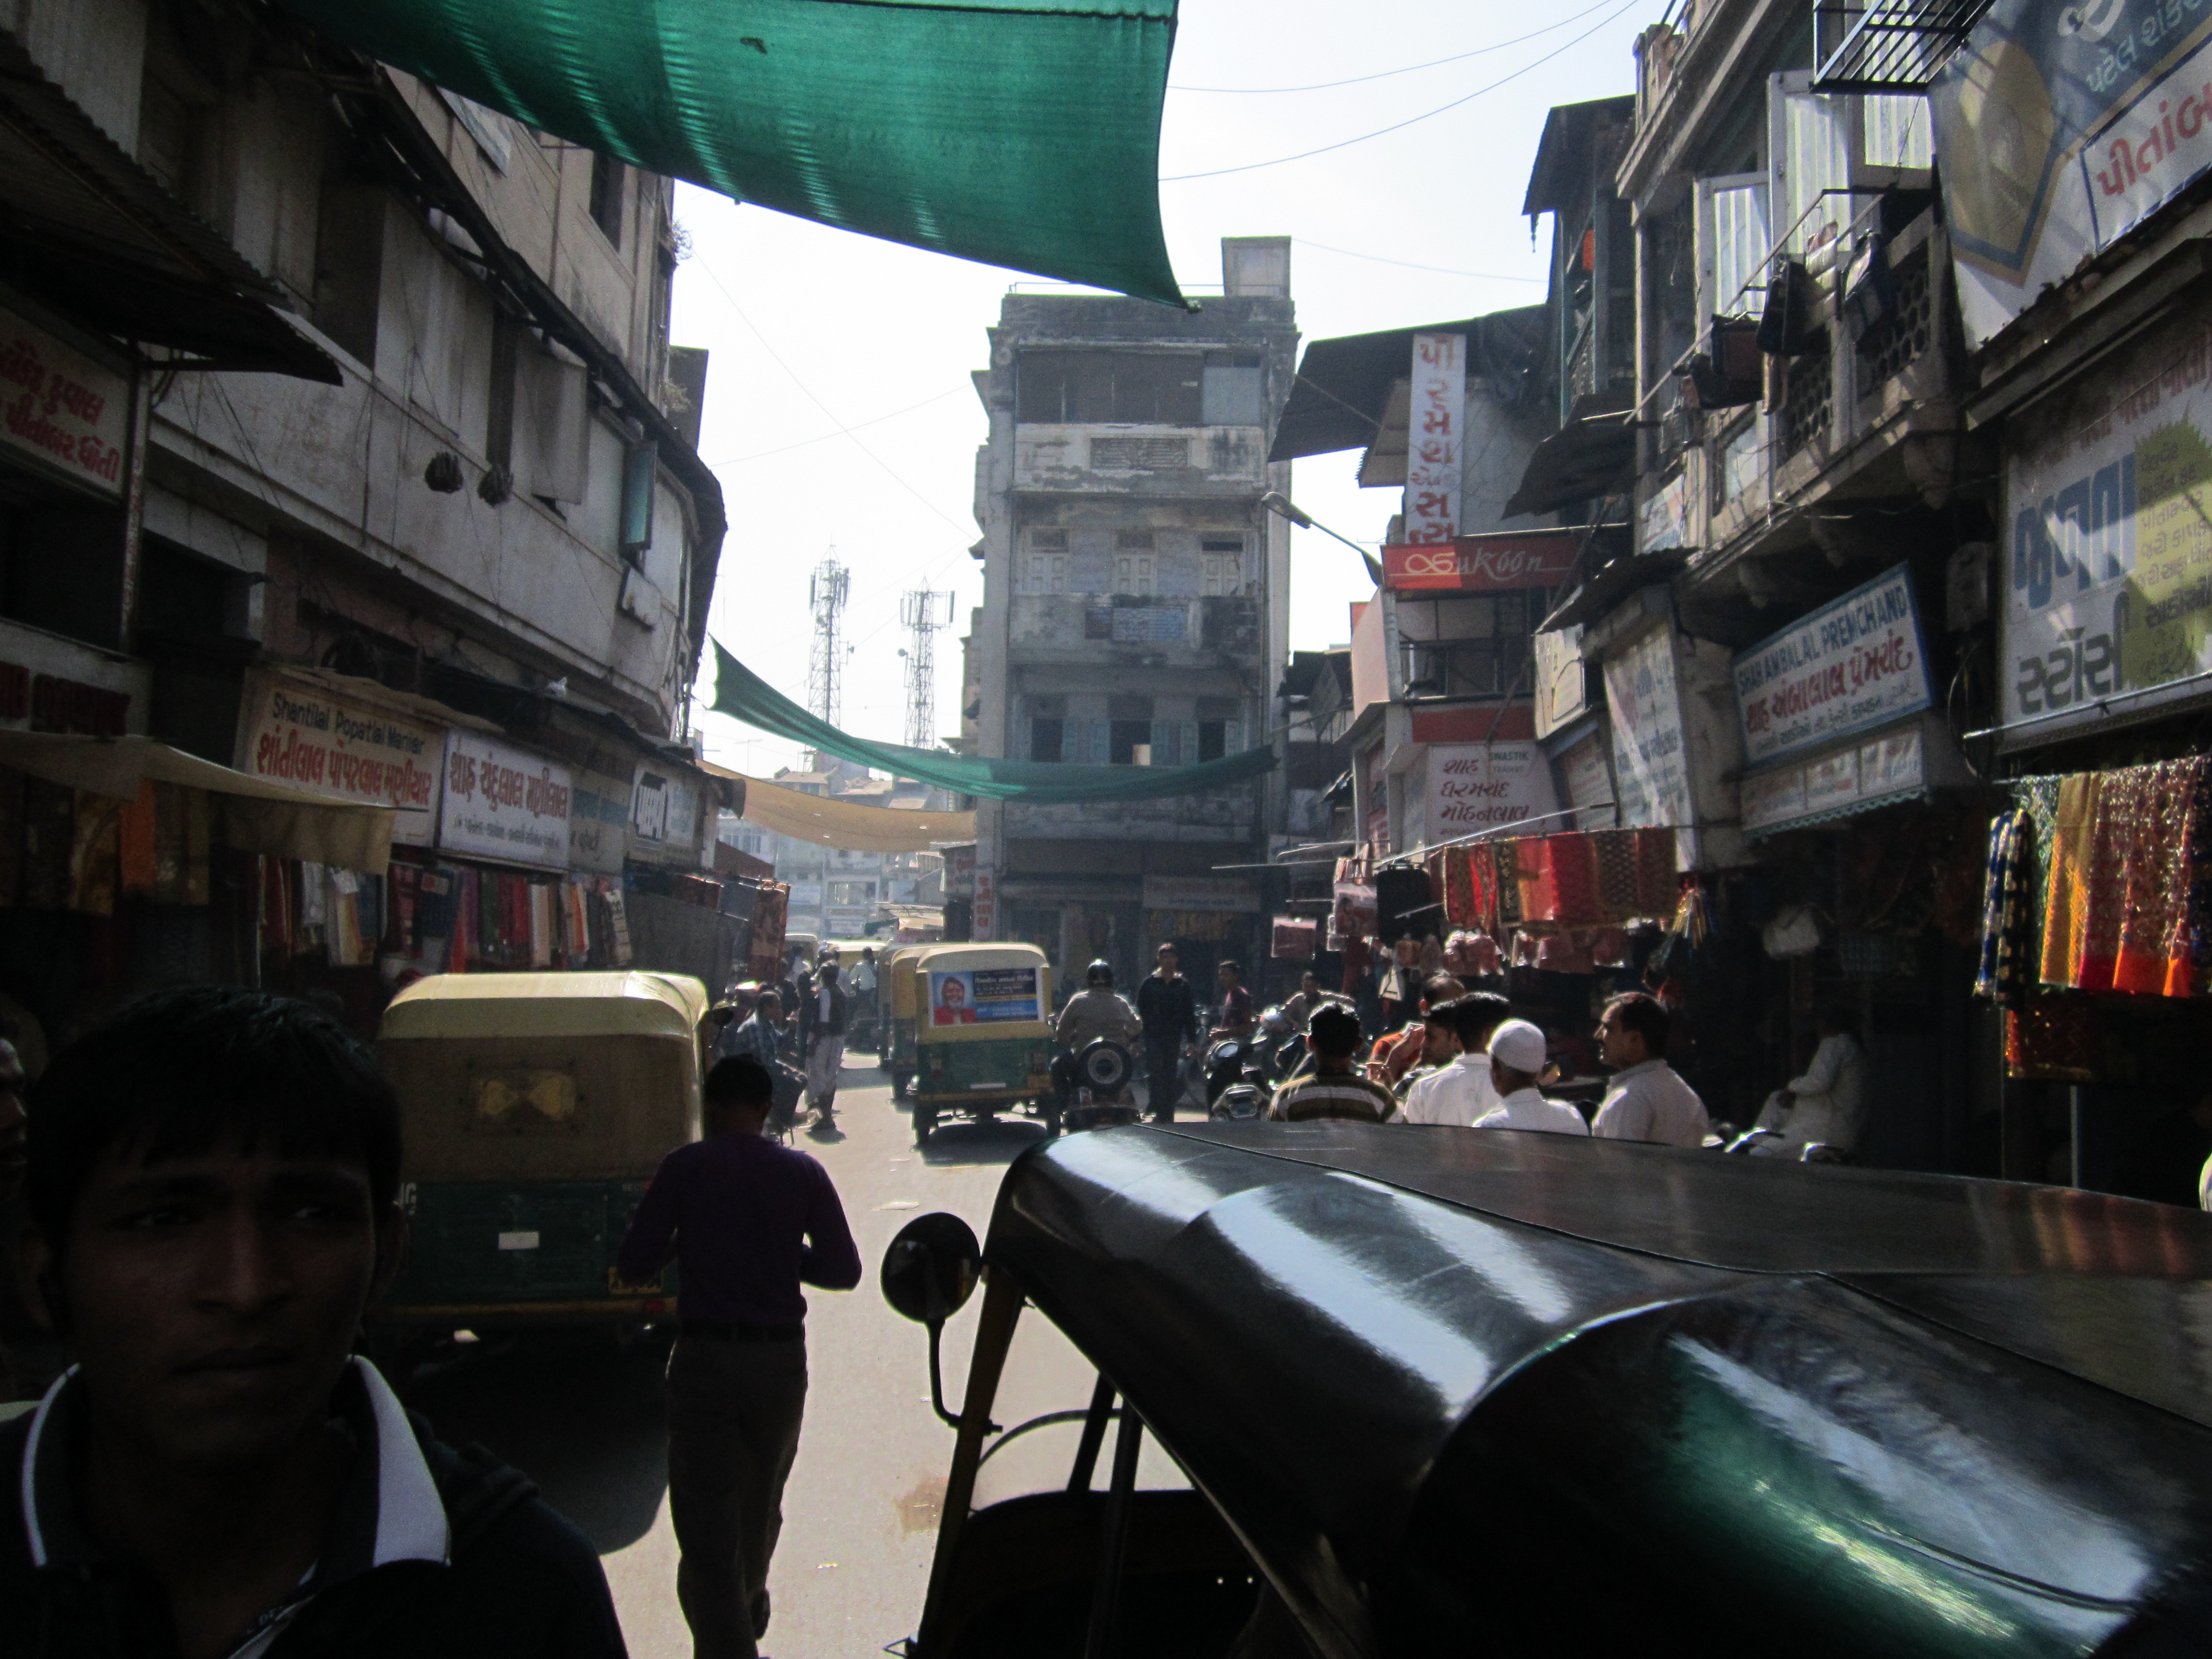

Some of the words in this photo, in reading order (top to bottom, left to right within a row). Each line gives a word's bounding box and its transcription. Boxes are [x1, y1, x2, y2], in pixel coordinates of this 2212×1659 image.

[2096, 88, 2201, 185] પીતાંબ
[1817, 584, 1909, 651] PREMCHAND
[1761, 667, 1844, 717] અબાલાલ
[1844, 629, 1922, 694] પ્રેમચંદ
[2027, 651, 2094, 699] સ્ટોર્સ